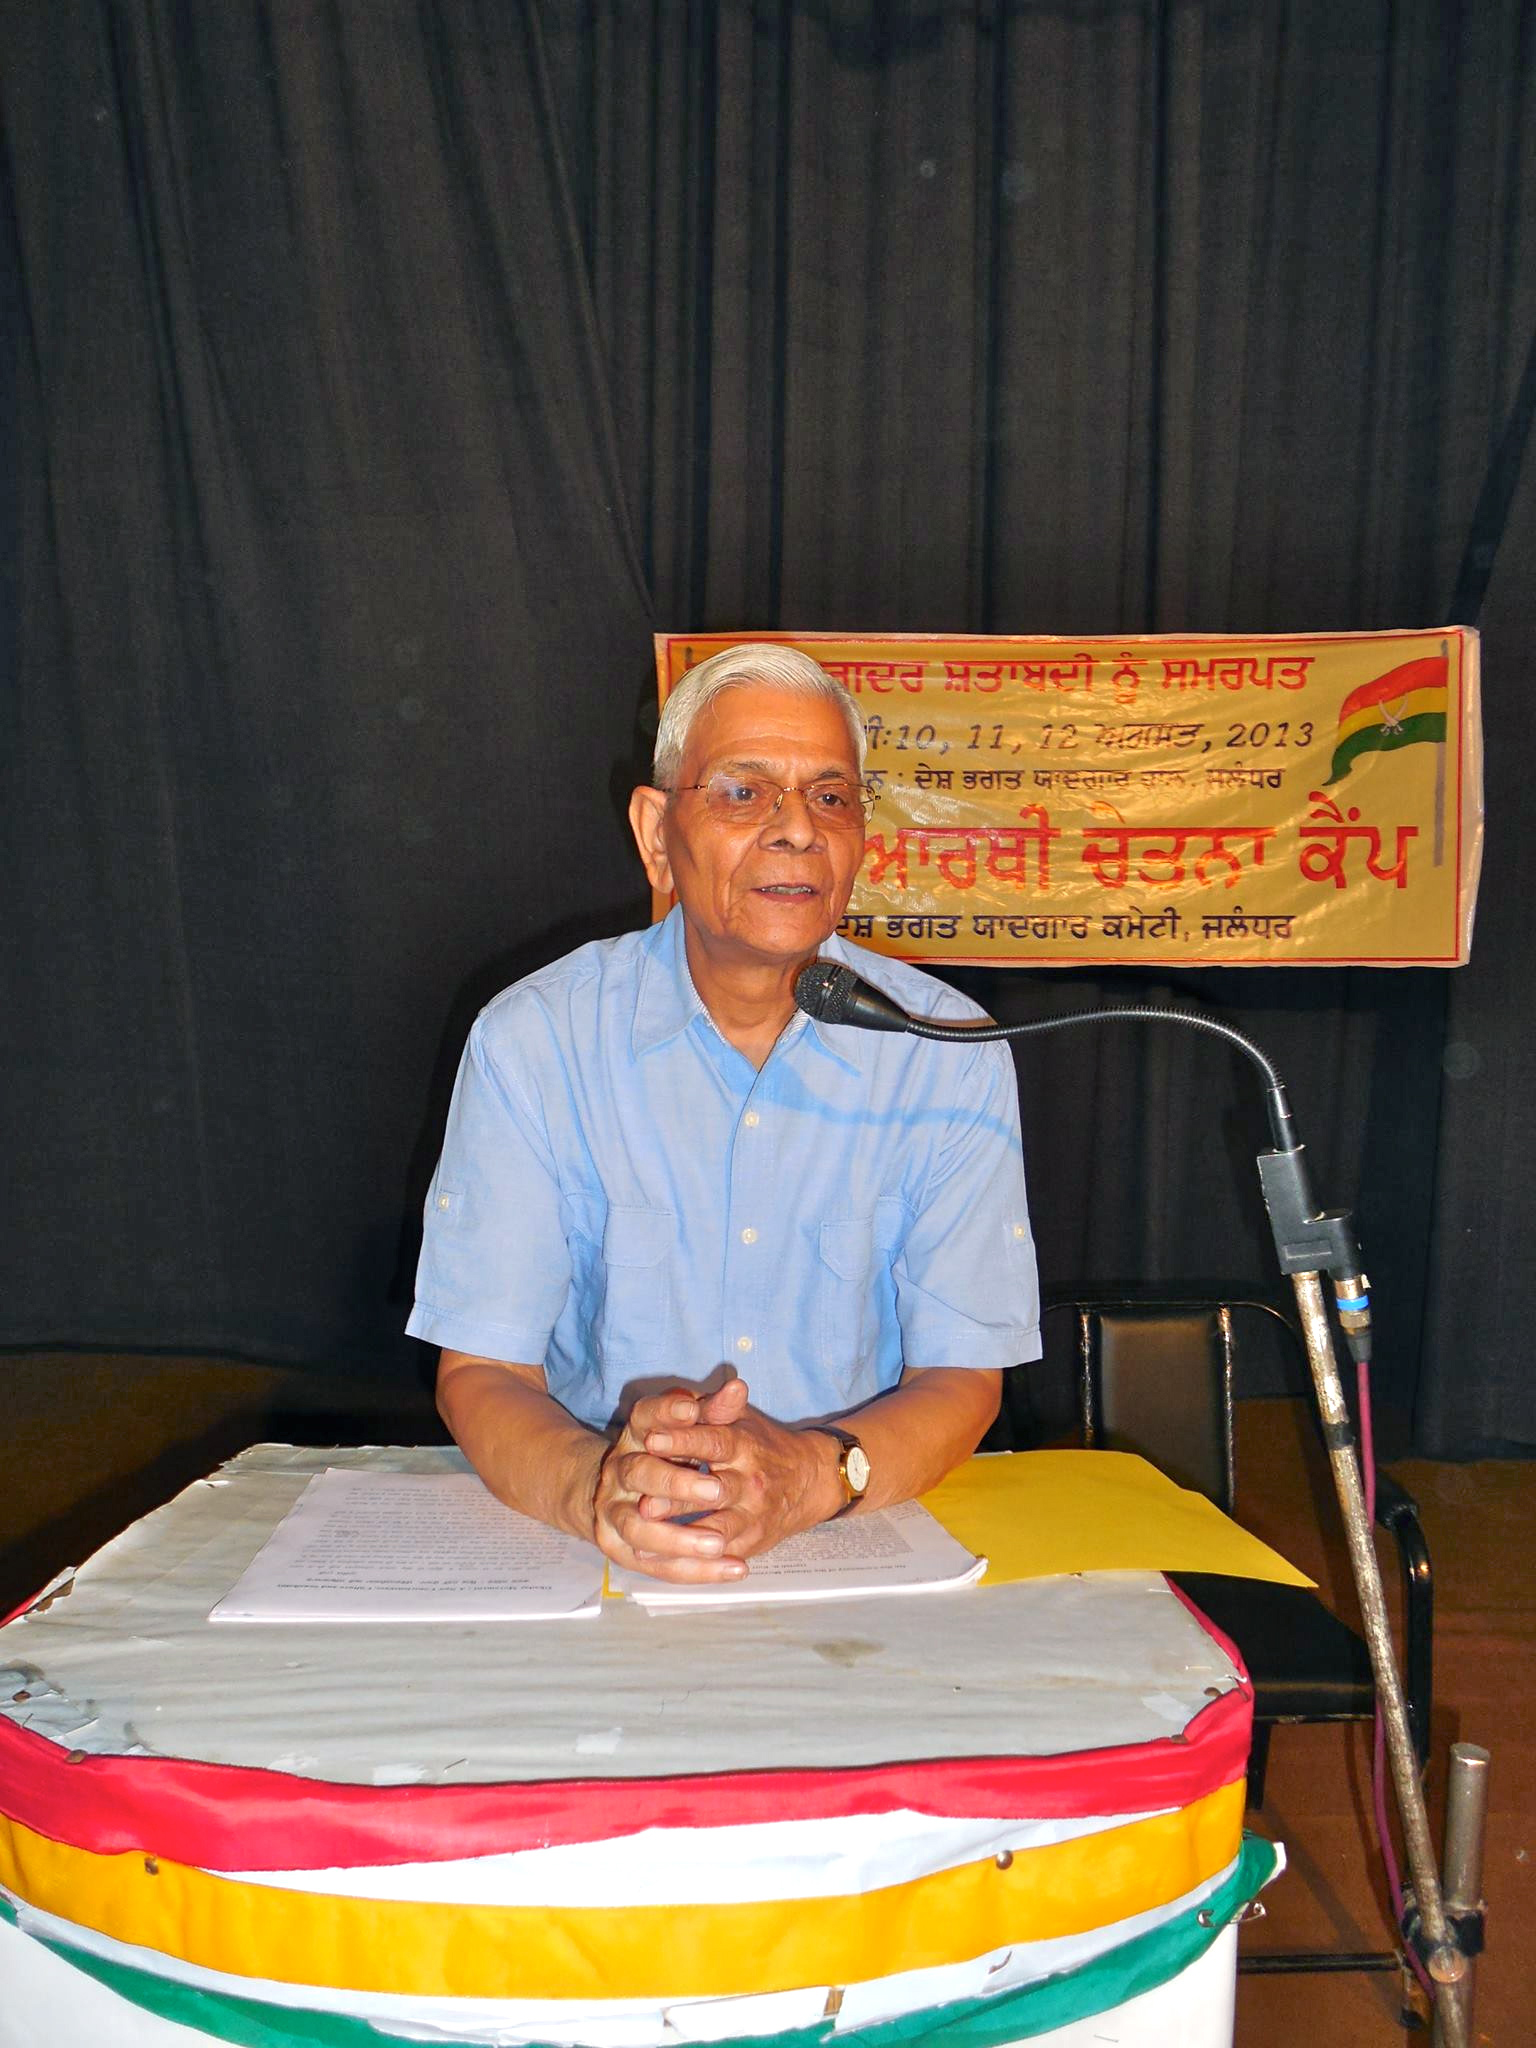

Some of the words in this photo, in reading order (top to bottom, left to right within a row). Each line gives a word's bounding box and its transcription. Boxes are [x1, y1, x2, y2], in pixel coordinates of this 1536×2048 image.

[815, 655, 936, 699] ਗਦਰ
[936, 647, 1108, 701] ਸ਼ਤਾਬਦੀ
[1103, 644, 1156, 711] ਨੂੰ
[1154, 648, 1320, 698] ਸਮਰਪਤ
[891, 719, 942, 754] 10
[958, 717, 1011, 755] 11
[1032, 718, 1086, 755] 12
[1088, 715, 1208, 756] ਅਗਸਤ
[1220, 710, 1322, 758] 2013
[907, 756, 958, 796] ਦੇਸ਼
[955, 763, 1029, 794] ਭਗਤ
[1025, 764, 1136, 796] ਯਾਦਗਾਰ
[1196, 758, 1291, 796] ਜਲੰਧਰ
[859, 796, 1071, 905] ਆਰਥੀ
[1076, 796, 1289, 900] ਚੇਤਨਾ
[1289, 783, 1433, 902] ਕੈਂਪ
[835, 909, 882, 944] ਸ਼
[881, 903, 969, 950] ਭਗਤ
[969, 907, 1096, 952] ਯਾਦਗਾਰ
[1096, 900, 1190, 950] ਕਮੇਟੀ
[1194, 898, 1307, 950] ਜਲੰਧਰ